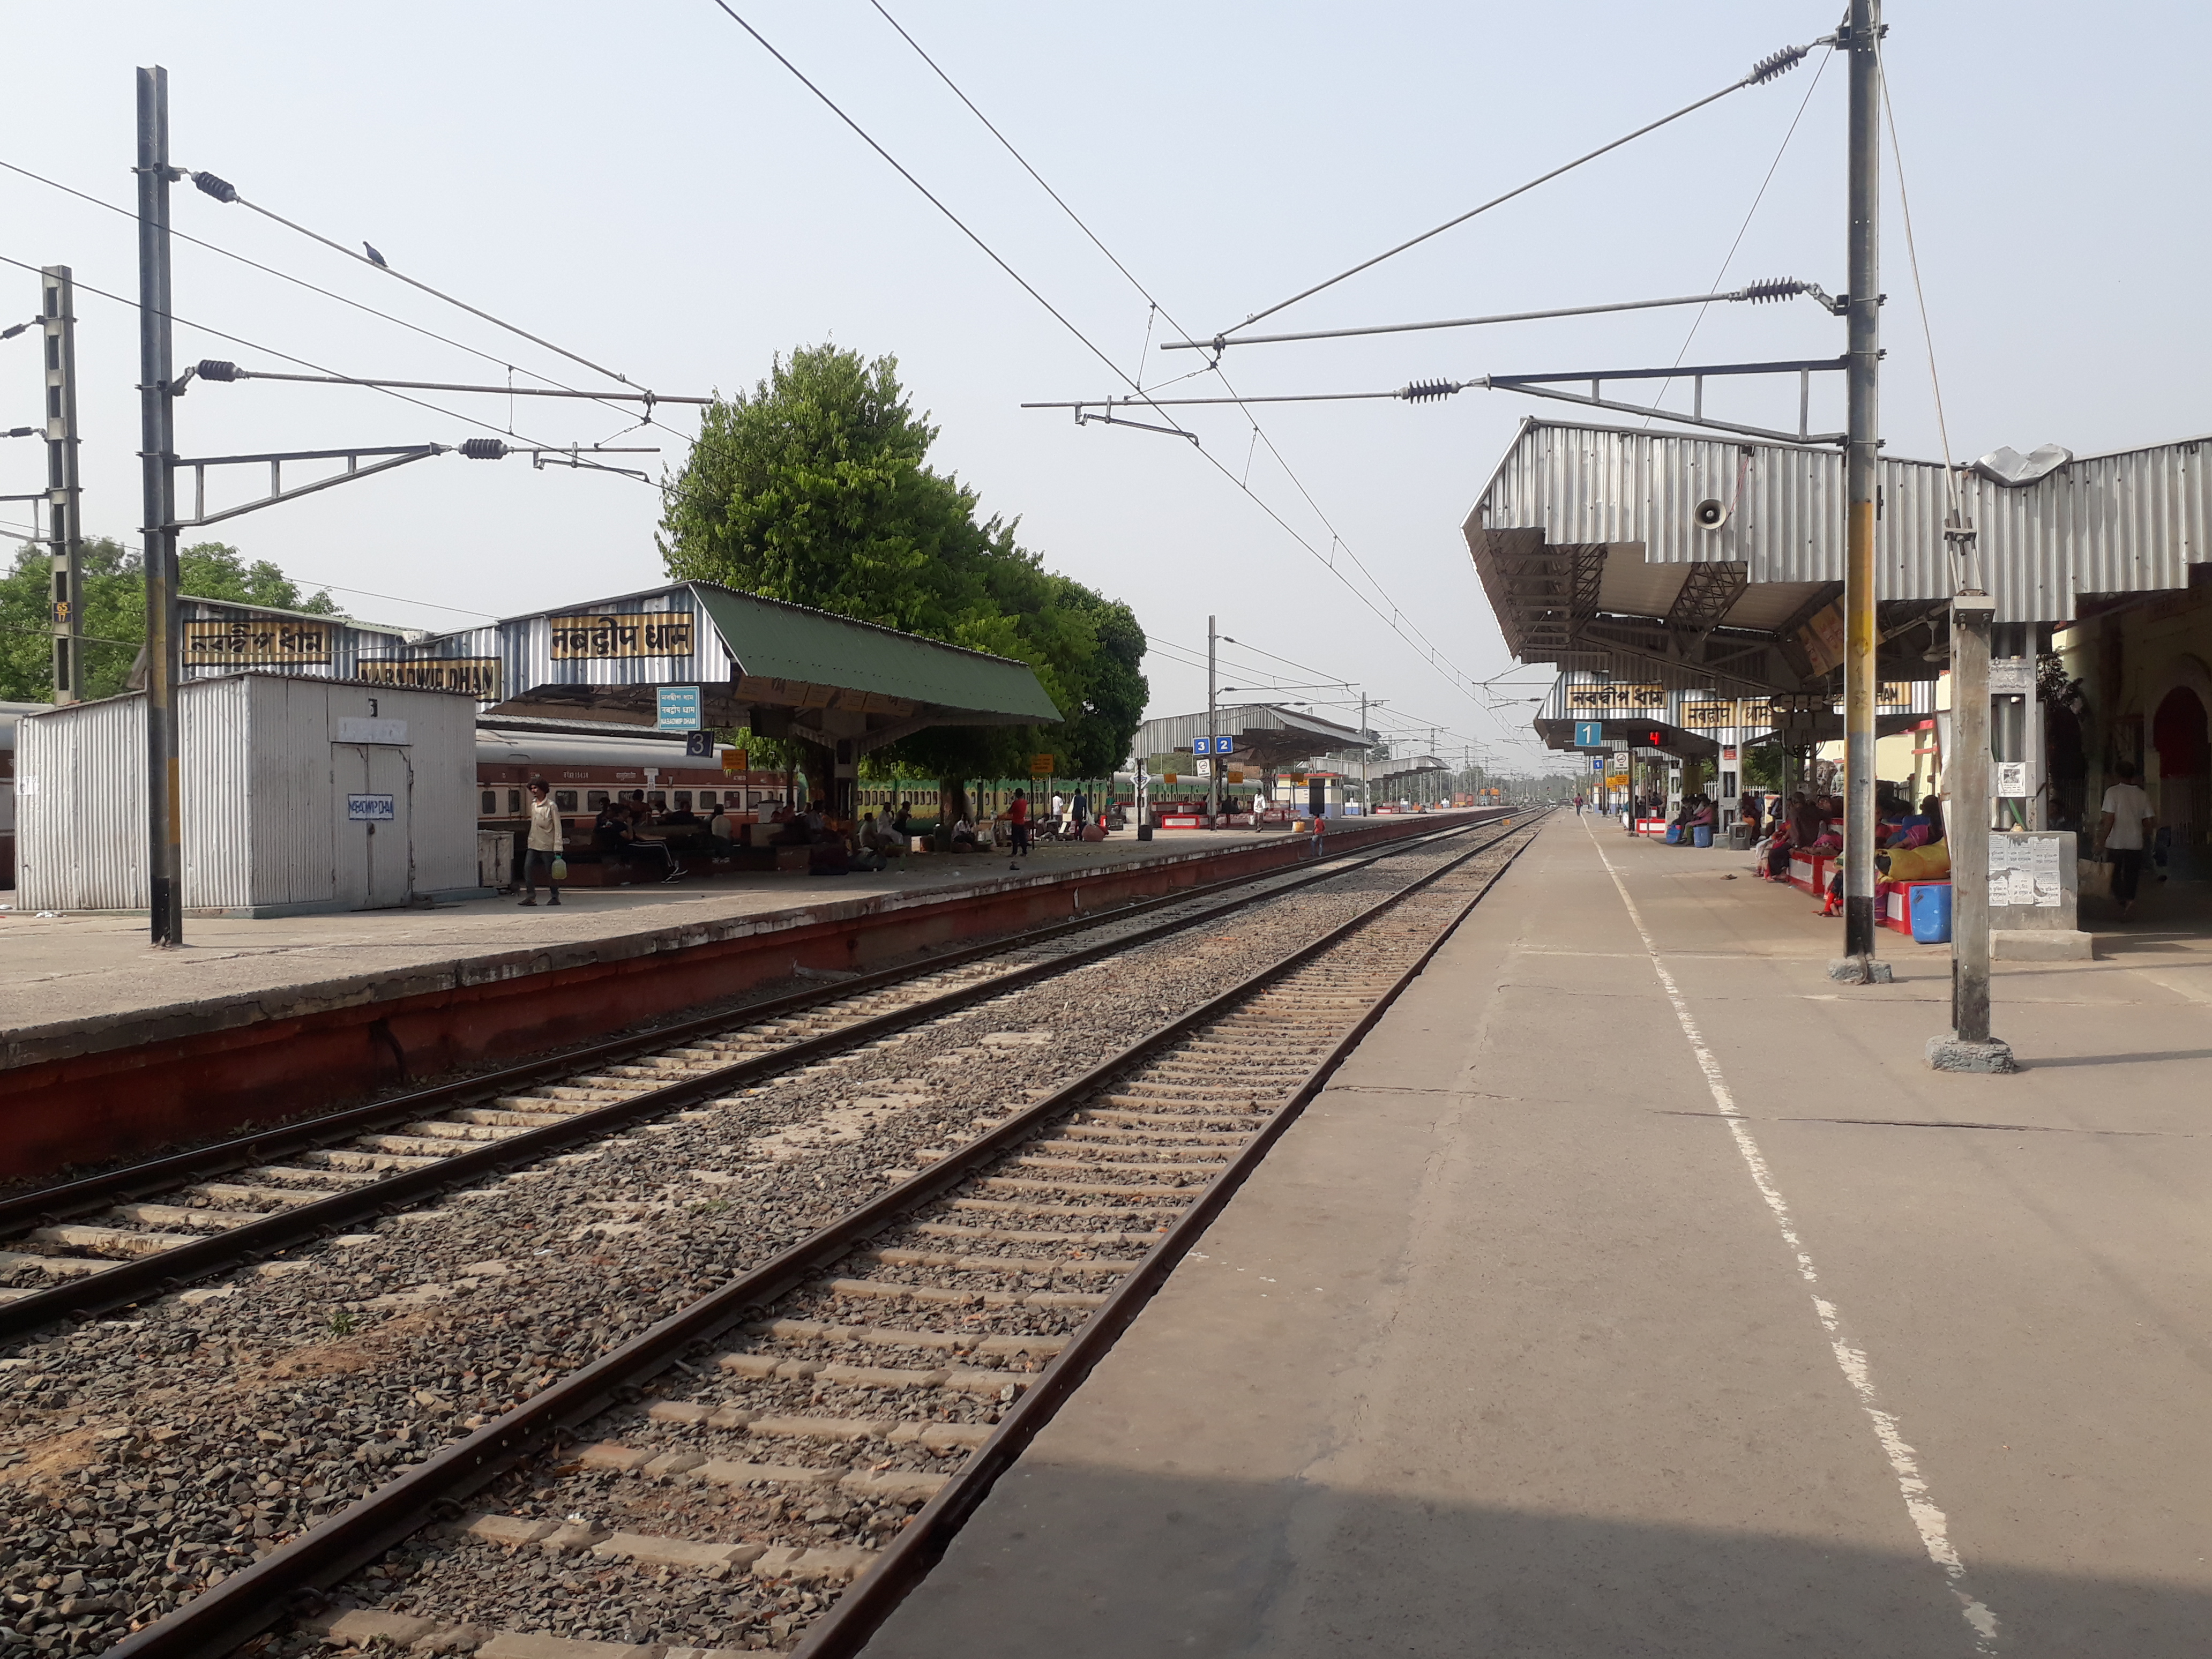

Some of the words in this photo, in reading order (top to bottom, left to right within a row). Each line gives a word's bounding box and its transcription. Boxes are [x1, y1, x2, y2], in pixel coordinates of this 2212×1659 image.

[186, 614, 281, 661] নবদ্বীপ
[271, 622, 330, 654] ধীম
[545, 607, 642, 657] नबद्वीप
[641, 619, 693, 655] धाम
[656, 690, 684, 706] নবদ্বীপ
[657, 715, 683, 725] NABADWIP
[658, 703, 683, 717] नबद्वीप
[680, 692, 696, 705] ধ্যম
[679, 704, 698, 715] धाम
[681, 714, 698, 727] DHAM
[1568, 683, 1631, 707] নবদ্বীপ
[1628, 681, 1667, 707] ধাম
[1686, 700, 1732, 726] नबद्वीप
[1742, 698, 1771, 726] धाम